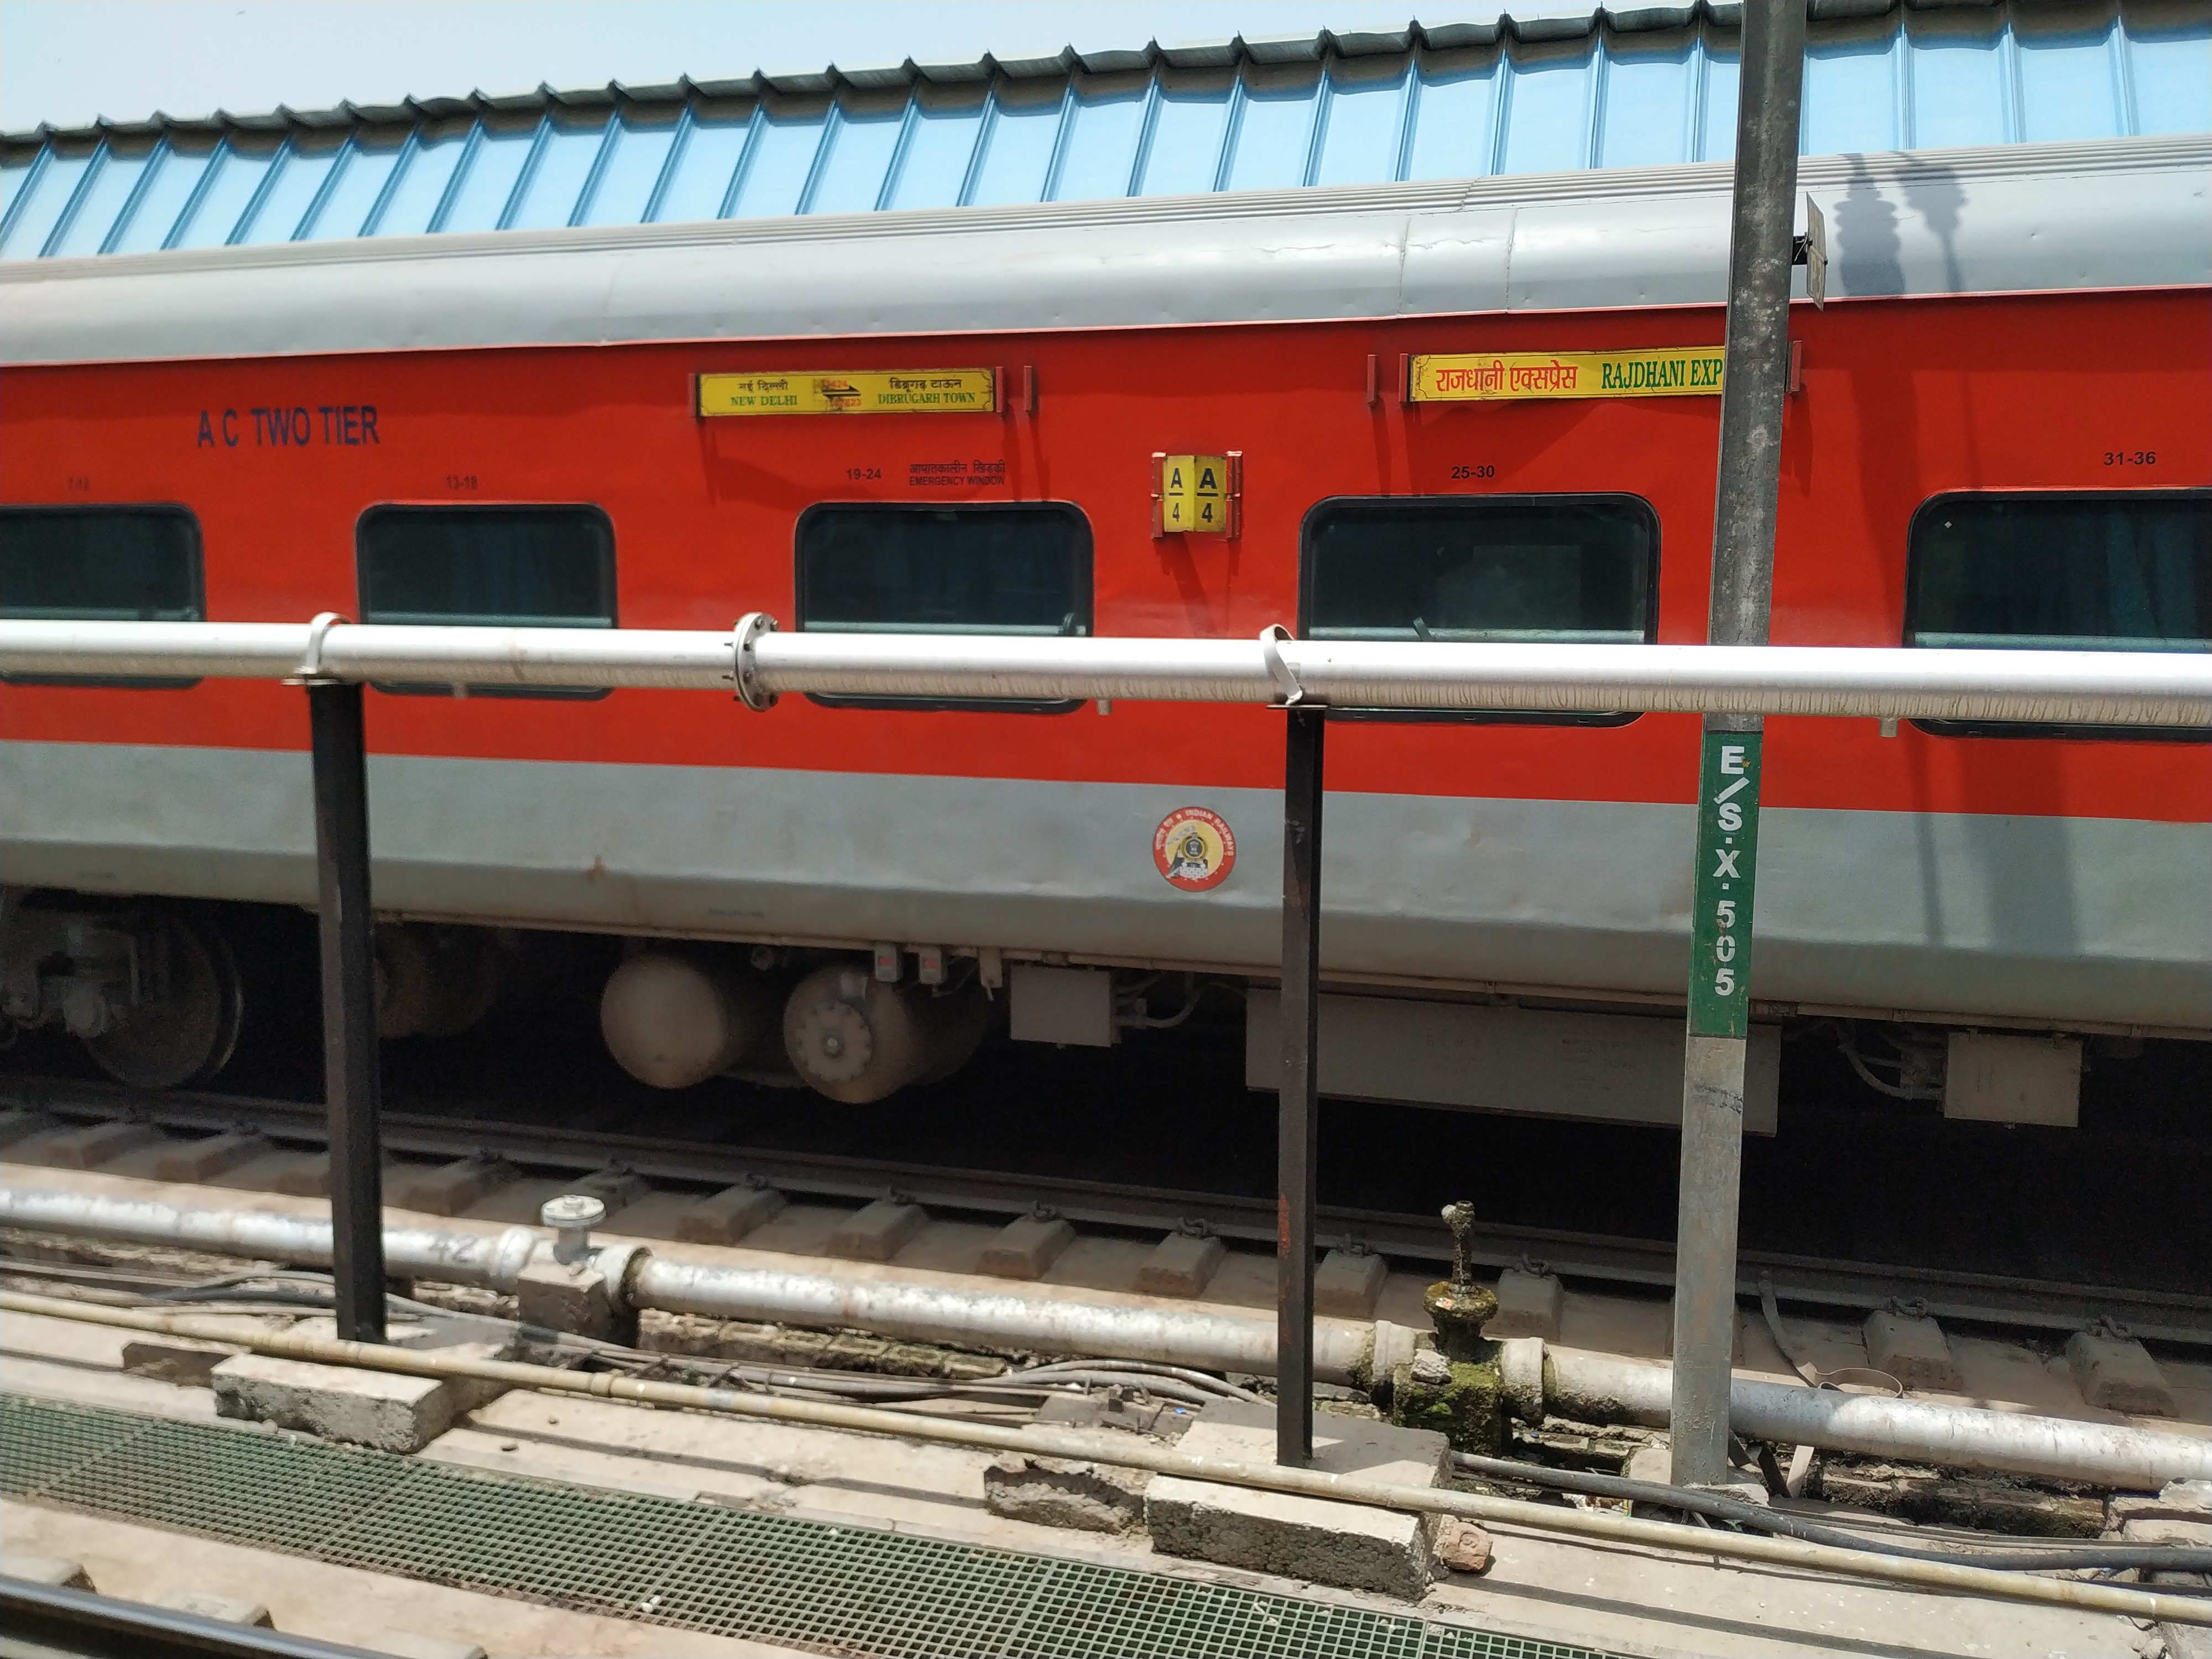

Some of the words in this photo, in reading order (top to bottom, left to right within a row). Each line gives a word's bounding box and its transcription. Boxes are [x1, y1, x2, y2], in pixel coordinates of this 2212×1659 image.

[736, 377, 758, 394] नई
[753, 375, 791, 393] दिल्ली
[886, 373, 928, 394] डिब्रूगढ़
[929, 378, 963, 391] टाऊन
[1435, 356, 1505, 395] राजधानी
[1508, 357, 1582, 394] एक्सप्रेस
[1598, 359, 1687, 391] RAJDHANI
[1689, 356, 1725, 389] EXP
[726, 393, 760, 409] NEW
[759, 394, 799, 408] DELHI
[875, 390, 942, 406] DIBRUGARH
[942, 390, 978, 406] TOWN
[190, 401, 243, 455] AC
[251, 402, 312, 450] TWO
[316, 402, 382, 445] TIER
[845, 466, 882, 482] 19-24
[907, 473, 966, 487] EMERGENCY
[907, 456, 971, 475] आपातकालीन
[965, 474, 1007, 488] WINDOW
[968, 456, 1006, 476] खिडकी
[1709, 744, 1752, 837] E/S
[1707, 846, 1743, 1000] X-505